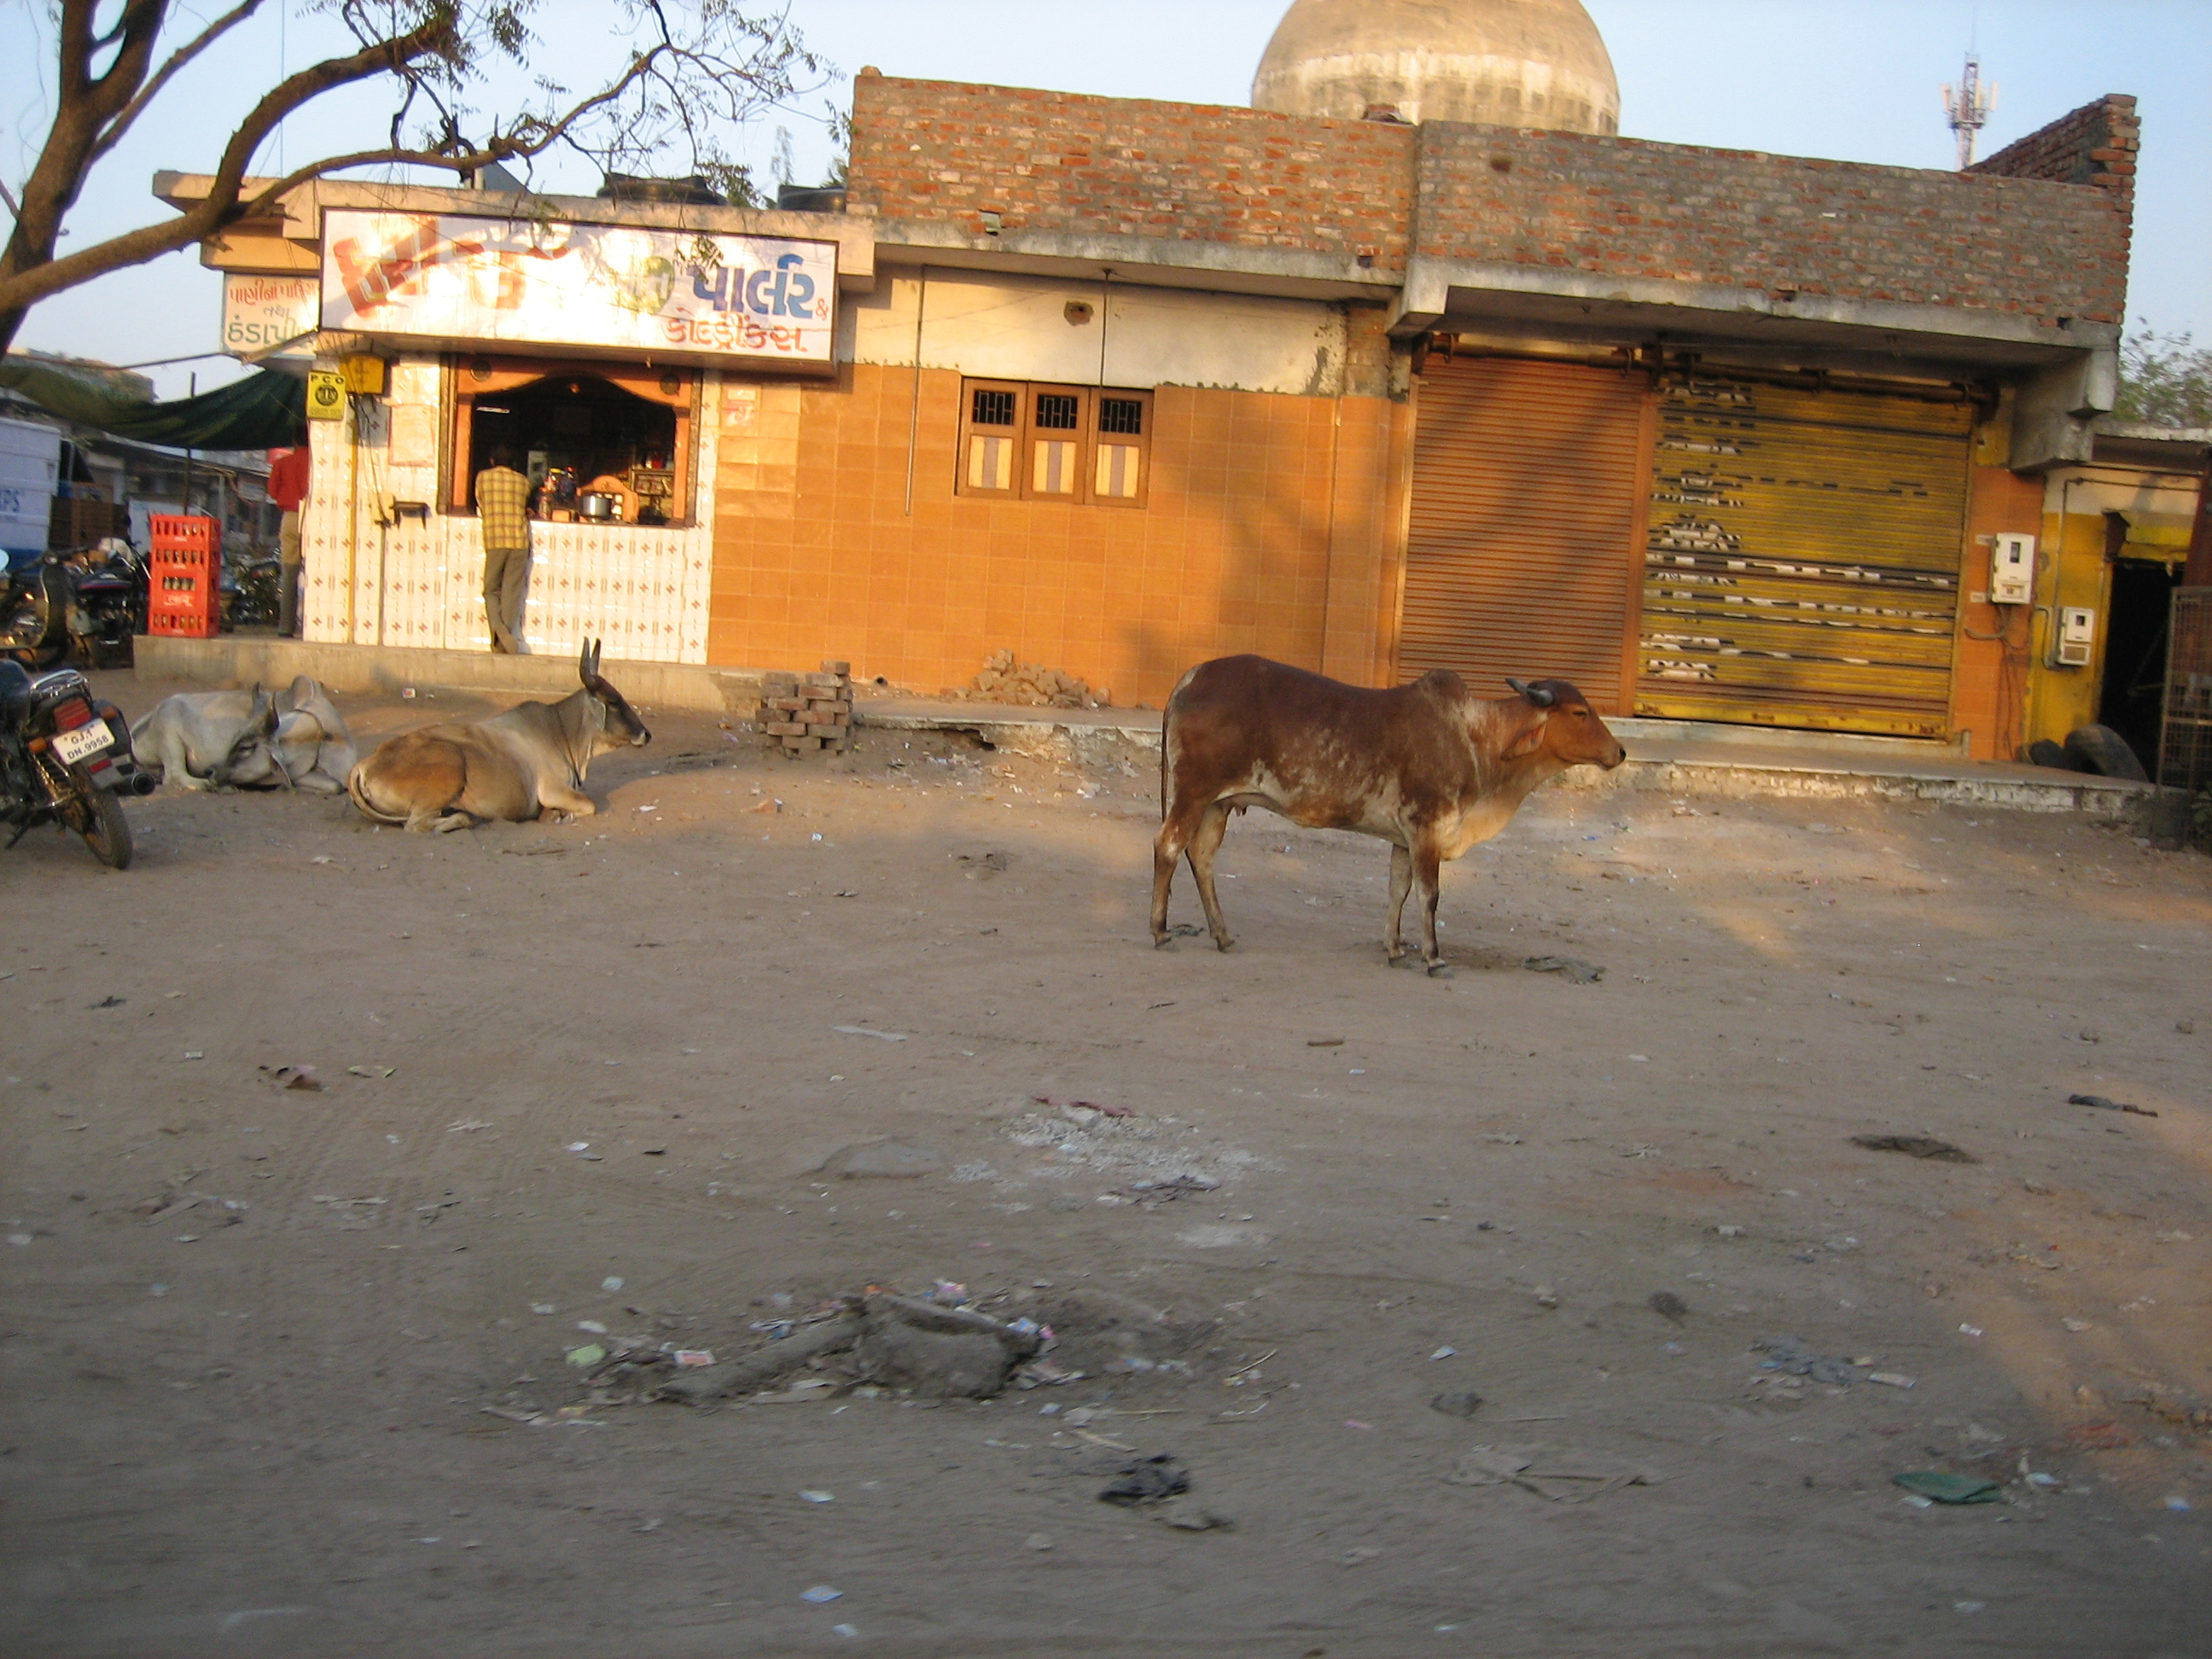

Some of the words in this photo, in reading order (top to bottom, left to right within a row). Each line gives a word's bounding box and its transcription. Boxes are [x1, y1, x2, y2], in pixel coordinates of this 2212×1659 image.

[671, 236, 823, 329] પાર્લર
[225, 317, 288, 336] 5511
[742, 324, 807, 352] કસ